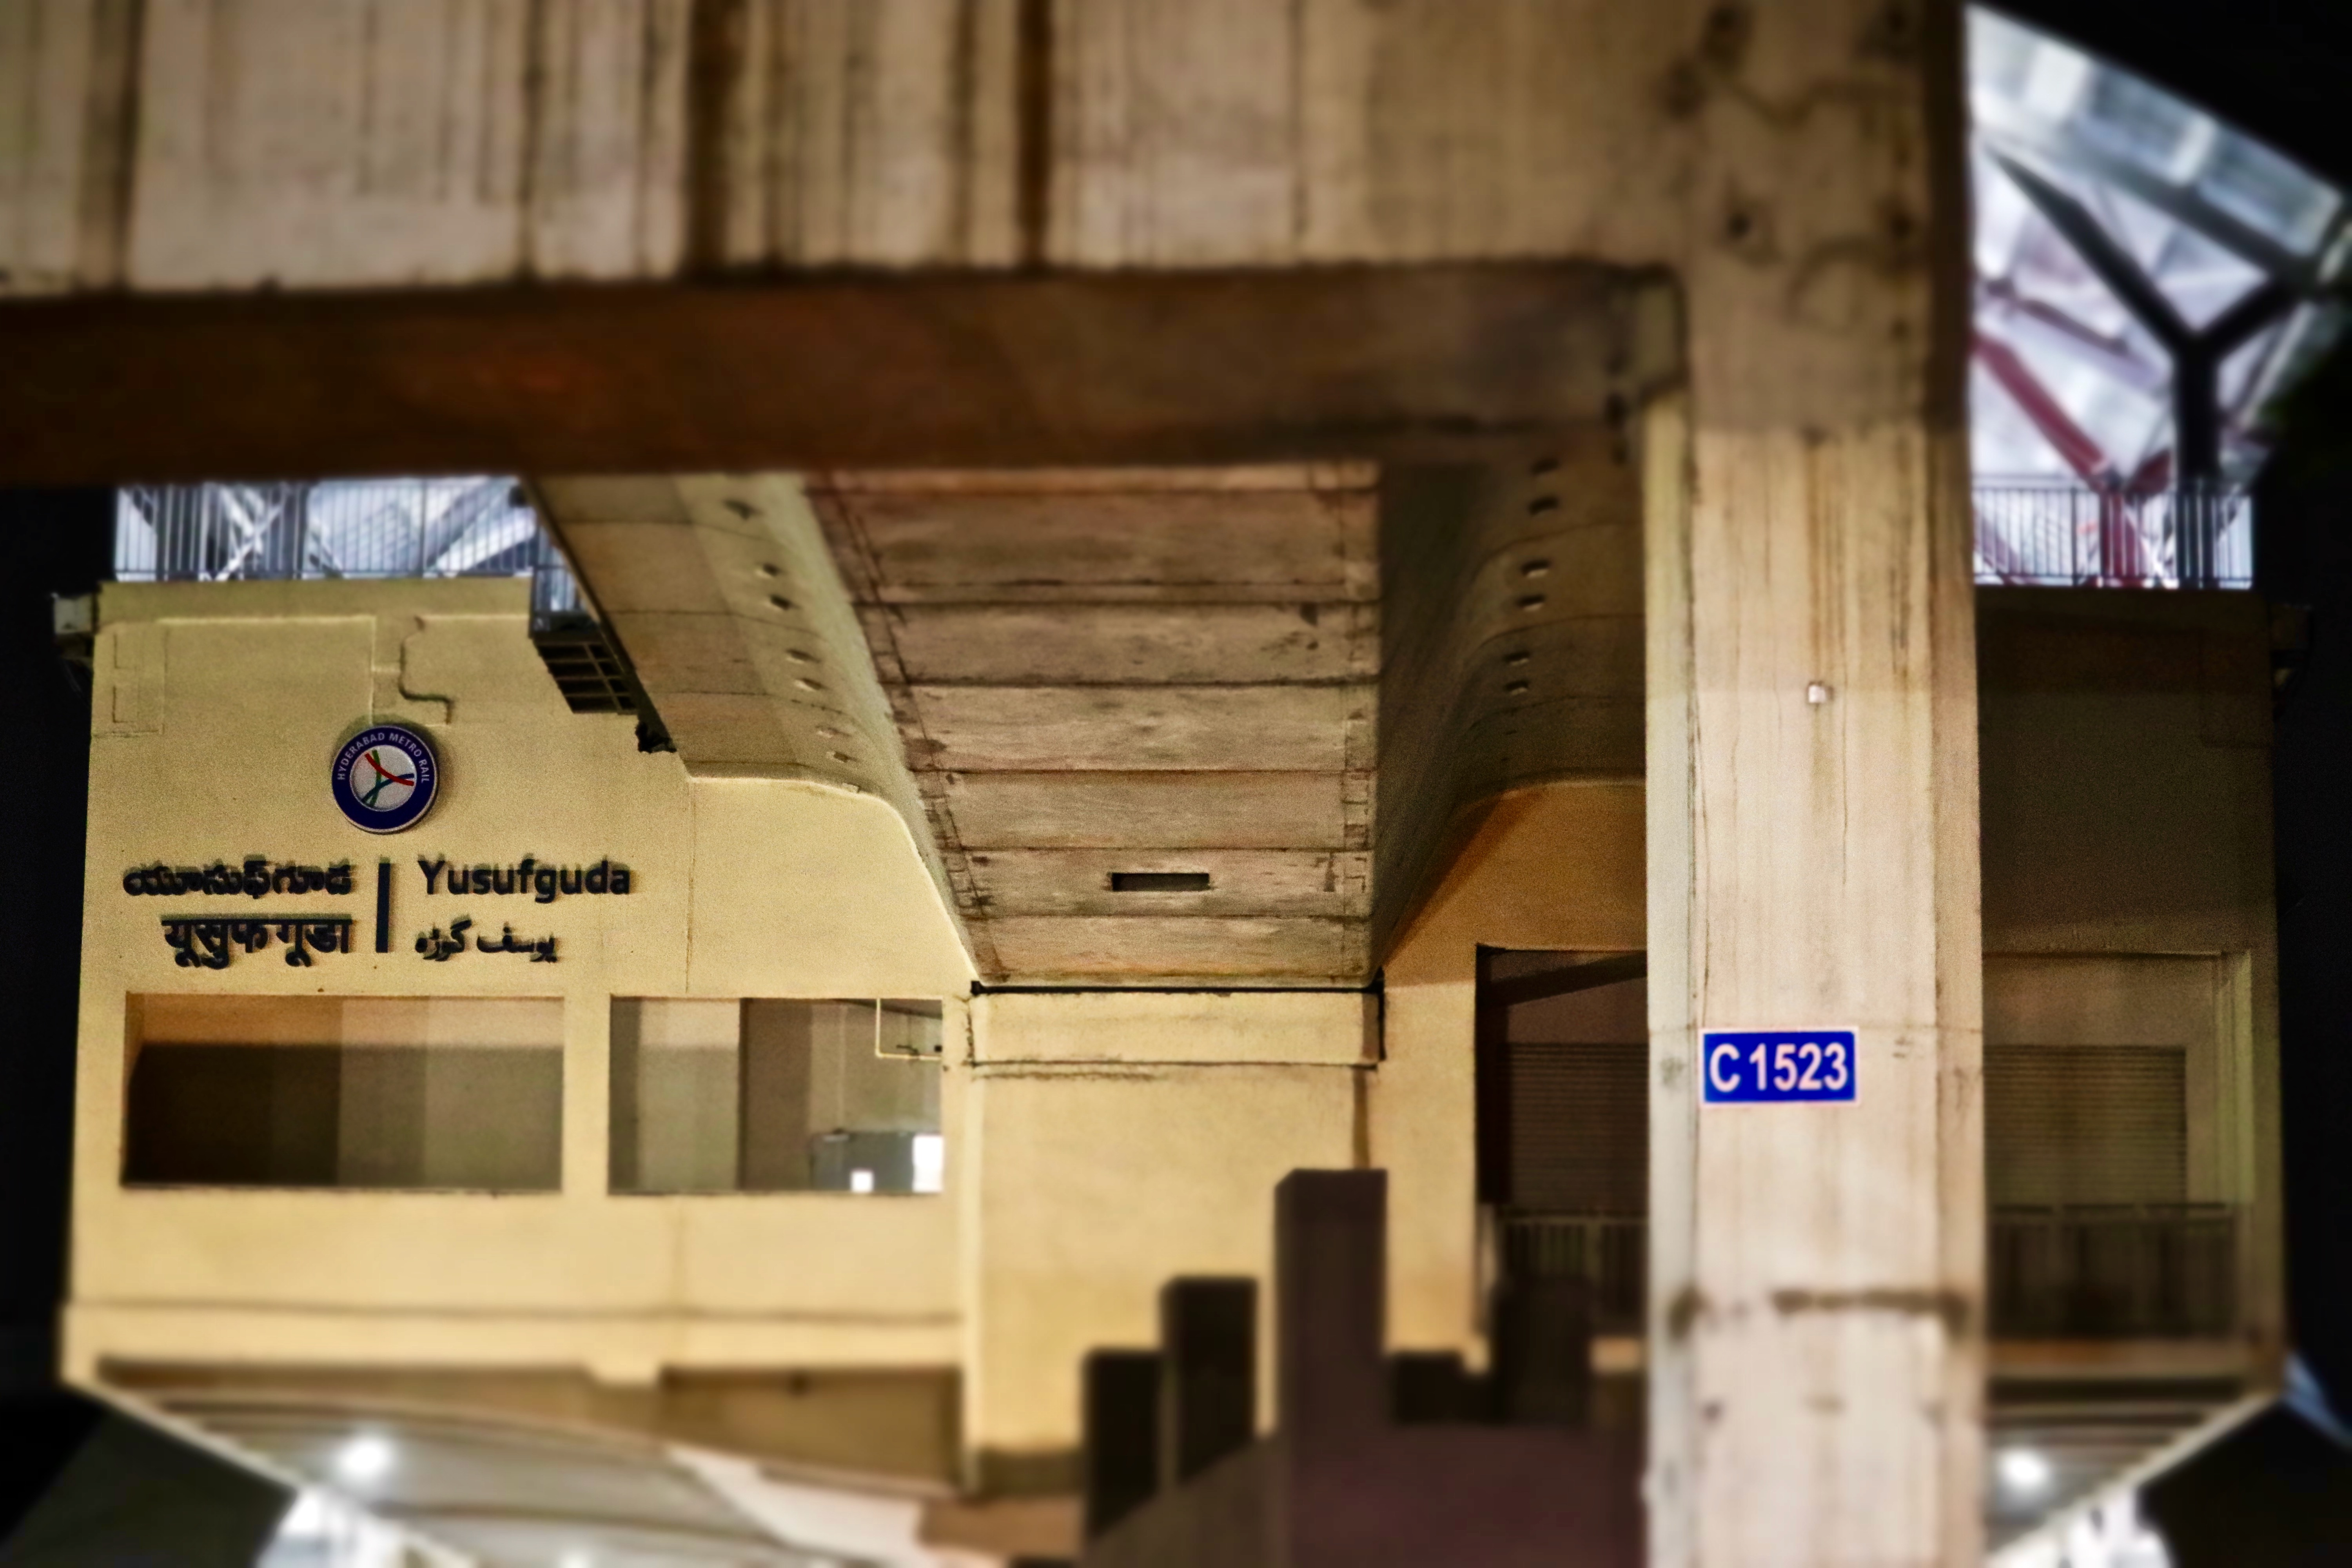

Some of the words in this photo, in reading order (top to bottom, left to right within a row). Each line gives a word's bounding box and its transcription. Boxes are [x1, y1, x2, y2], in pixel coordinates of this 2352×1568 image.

[334, 732, 386, 782] HYDERABAD
[387, 731, 423, 759] METRO
[416, 758, 431, 784] RAIL
[120, 860, 352, 900] యూసుఫ్ గూడ
[420, 858, 631, 907] Yusufguda
[161, 919, 354, 971] यूसुफगूडा
[1701, 1027, 1854, 1097] C1523